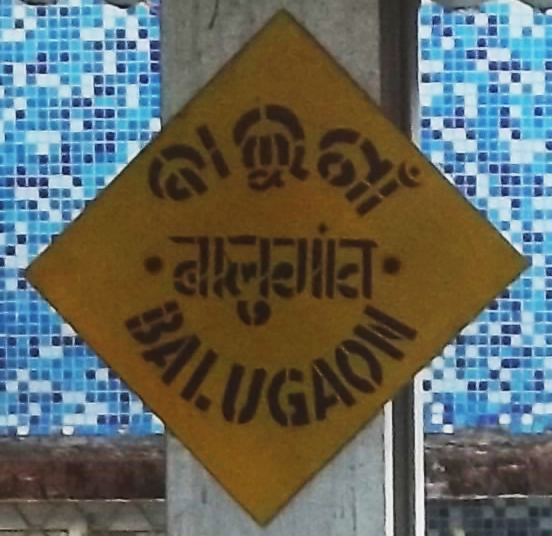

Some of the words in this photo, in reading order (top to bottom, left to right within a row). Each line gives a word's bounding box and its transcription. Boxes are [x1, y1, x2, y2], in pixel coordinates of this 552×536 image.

[140, 91, 430, 226] ବାଲୁଗାଁ
[165, 216, 409, 336] बालुगांव
[119, 297, 421, 430] BALUGAON